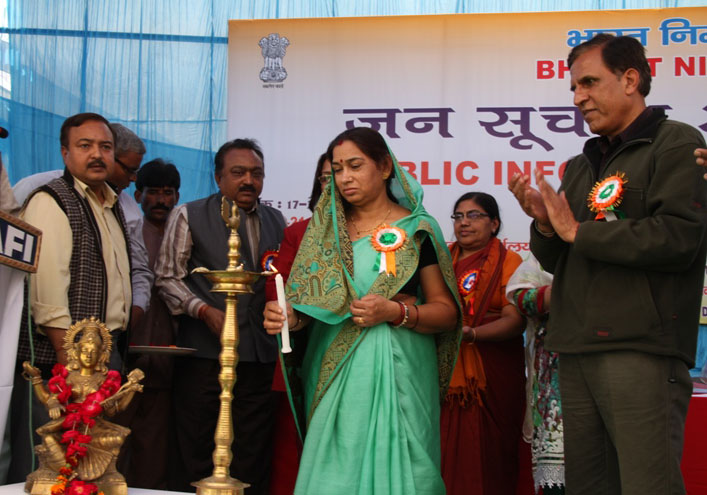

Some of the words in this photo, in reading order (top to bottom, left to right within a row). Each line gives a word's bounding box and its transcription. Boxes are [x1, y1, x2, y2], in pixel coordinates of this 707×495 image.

[343, 103, 456, 141] न
[472, 102, 586, 147] सूच
[488, 155, 561, 193] INF